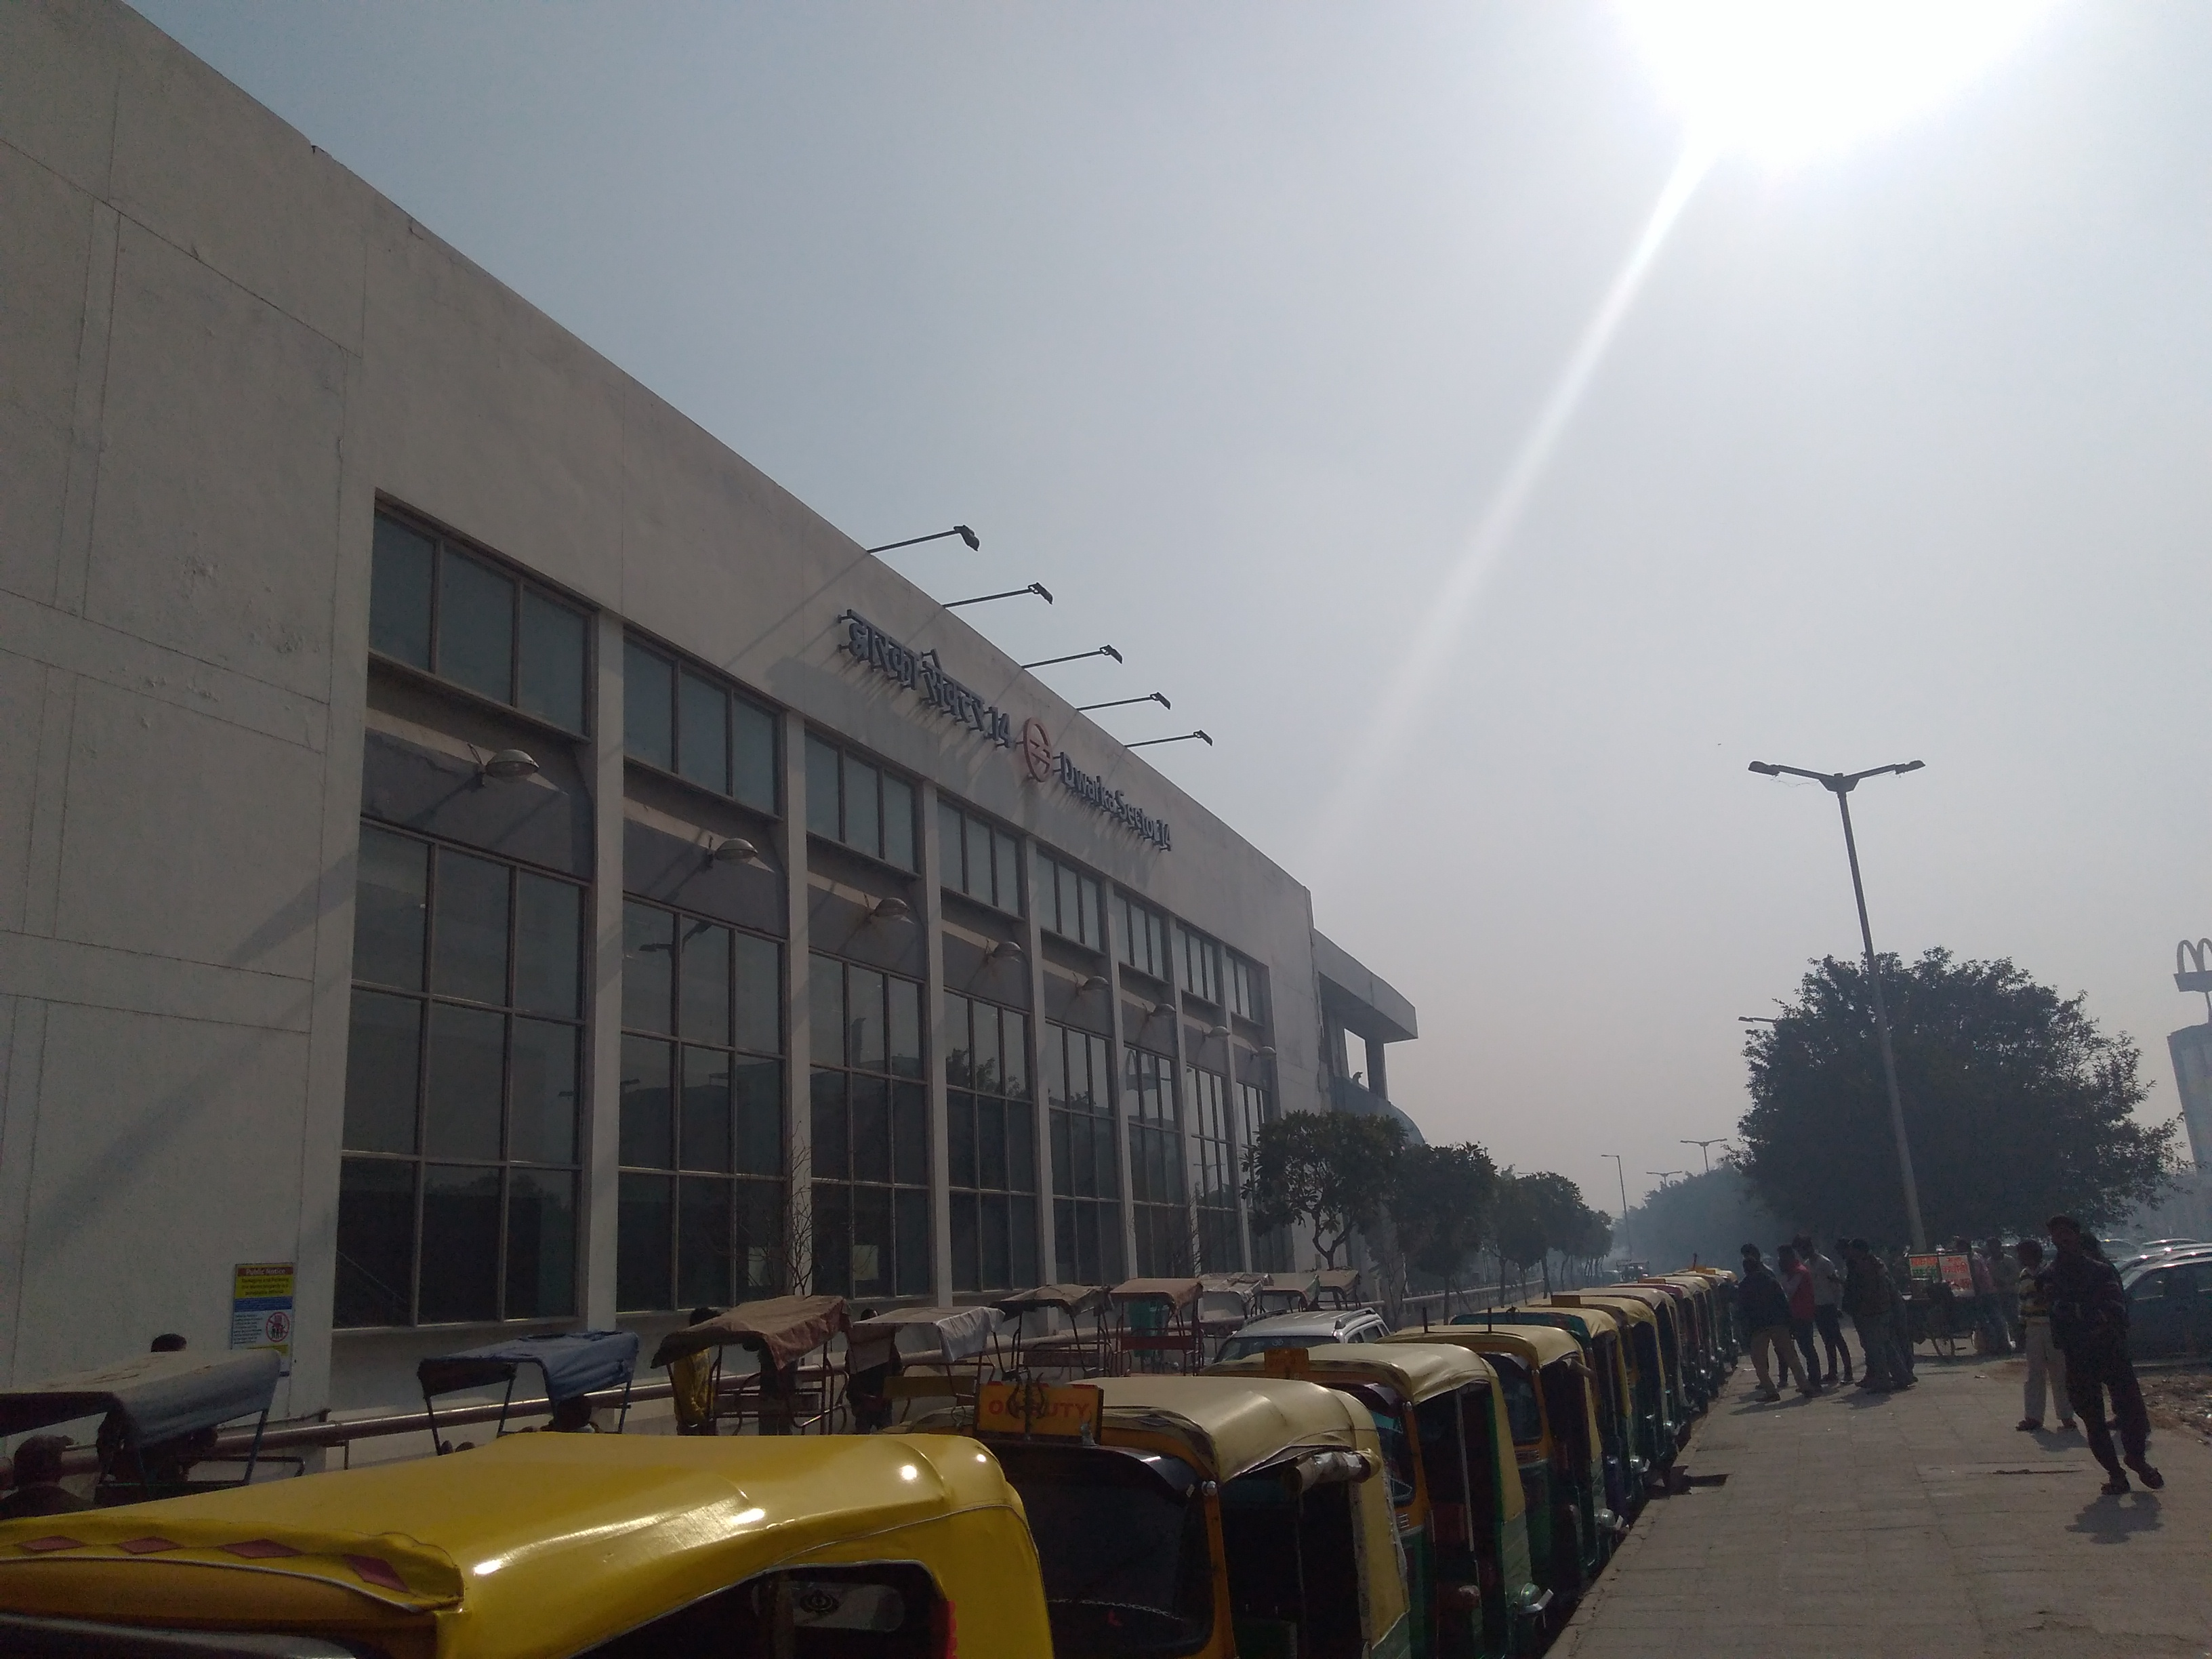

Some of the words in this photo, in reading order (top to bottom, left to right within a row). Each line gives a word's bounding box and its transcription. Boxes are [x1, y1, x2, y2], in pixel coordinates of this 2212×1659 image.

[842, 608, 922, 692] द्वारका
[922, 644, 986, 733] सेक्टर
[986, 703, 1012, 747] 14
[1059, 750, 1174, 853] DwarkaSector14